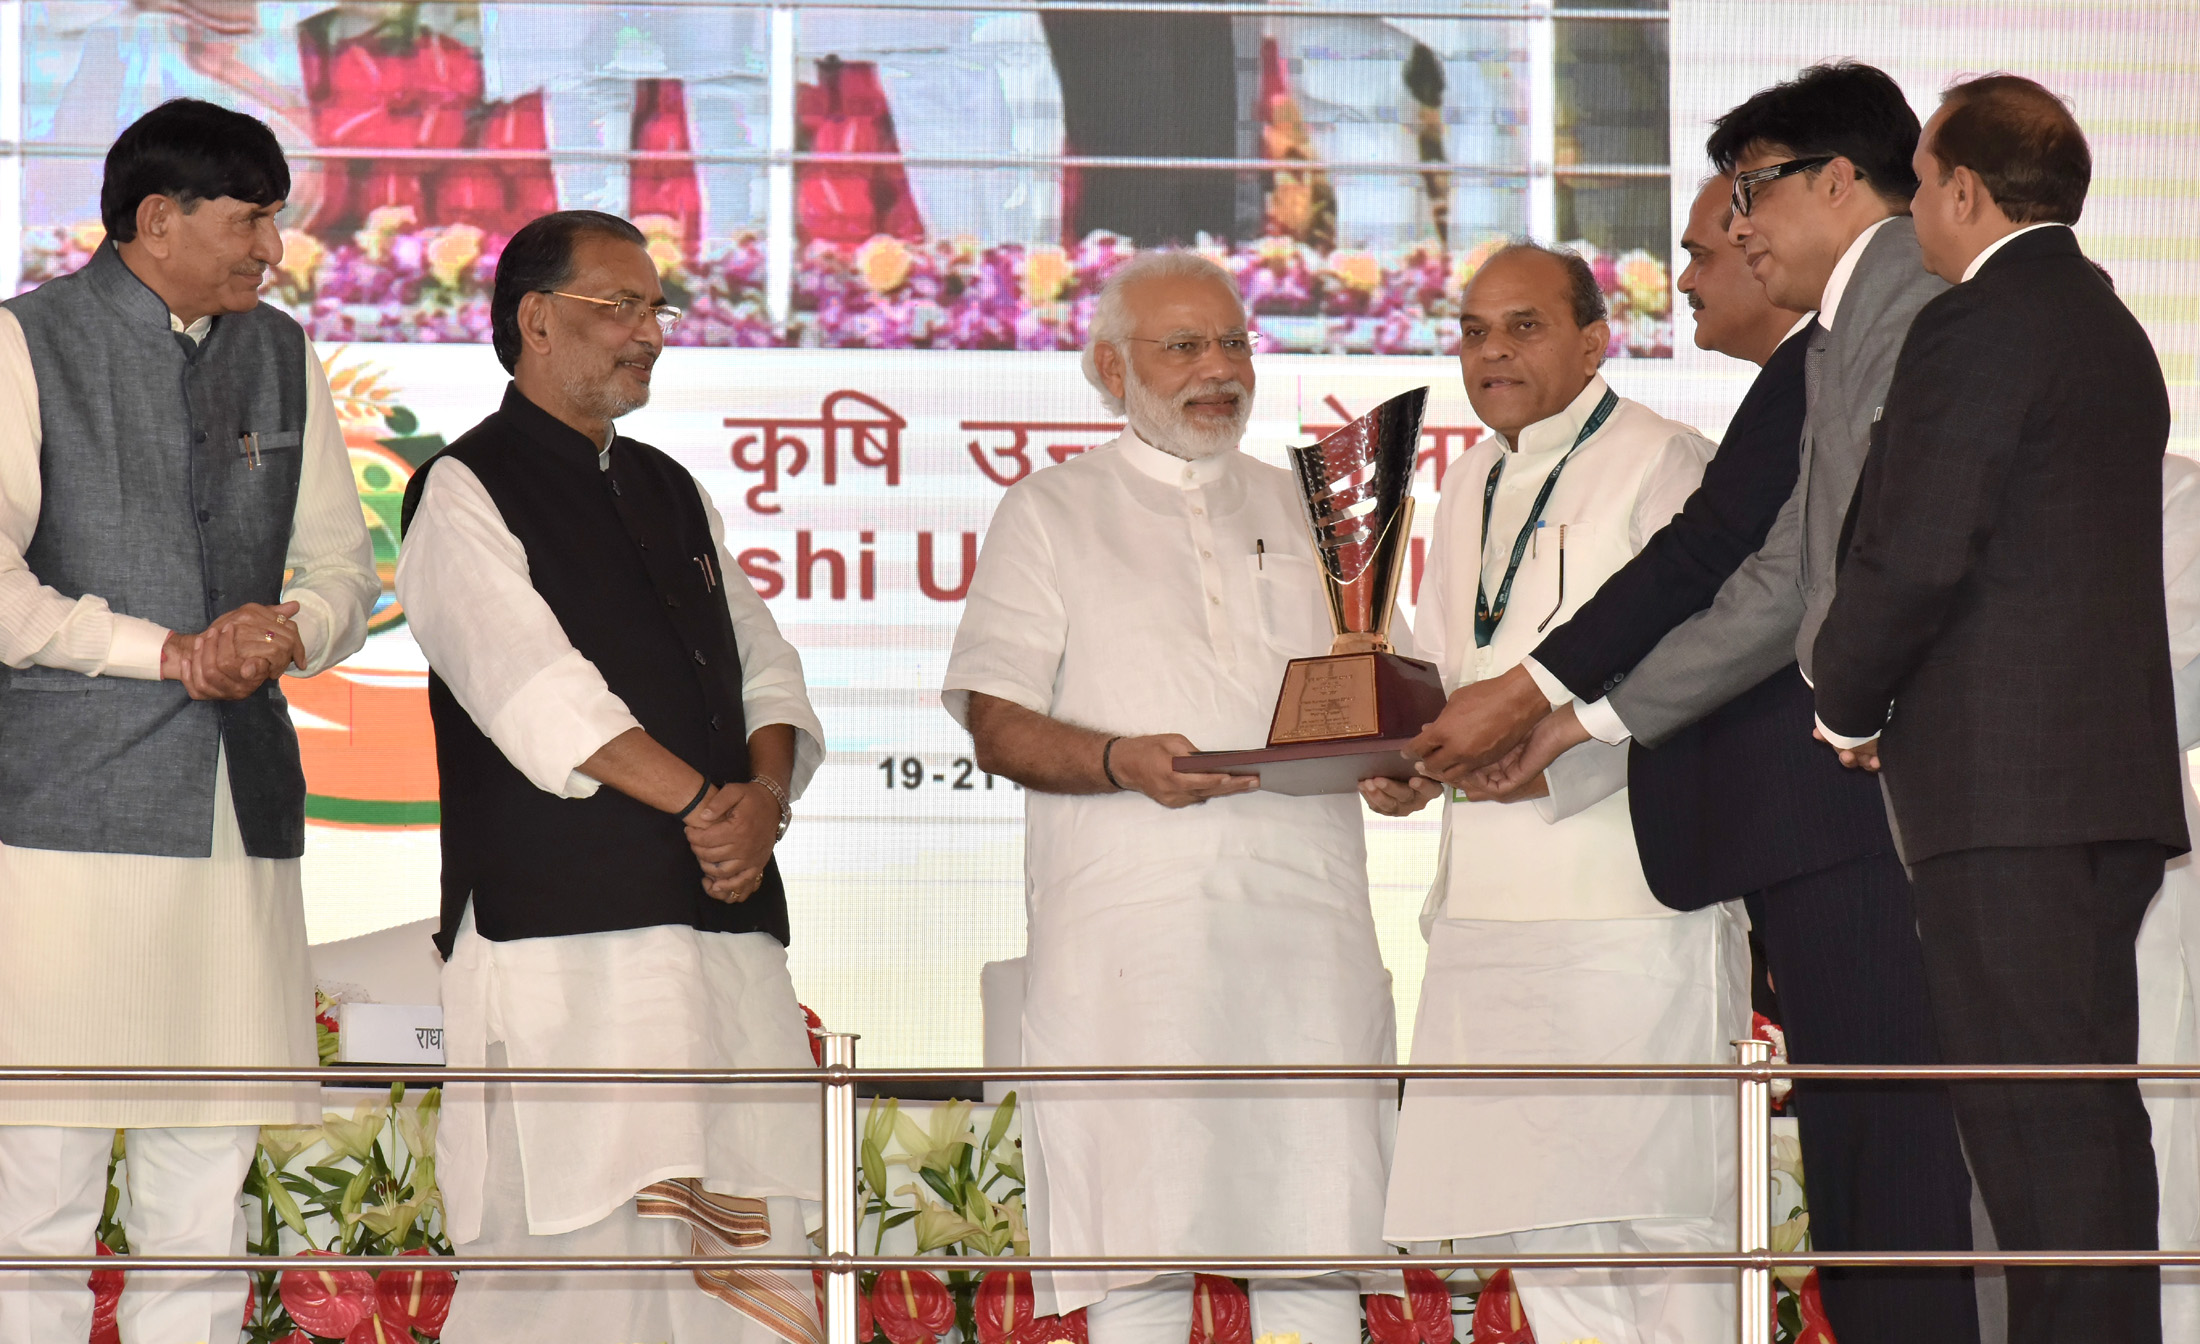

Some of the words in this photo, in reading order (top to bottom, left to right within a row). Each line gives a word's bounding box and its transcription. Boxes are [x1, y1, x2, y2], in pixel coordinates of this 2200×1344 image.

[723, 386, 910, 517] कृषि
[725, 511, 894, 610] shi